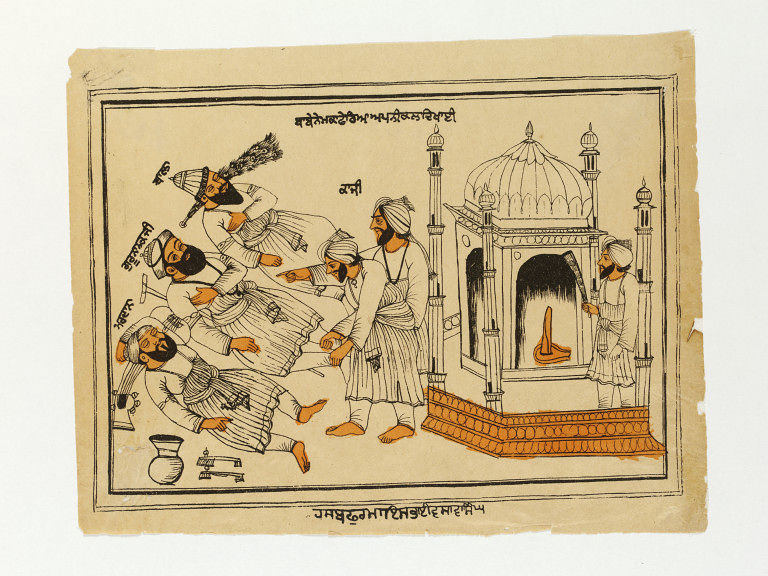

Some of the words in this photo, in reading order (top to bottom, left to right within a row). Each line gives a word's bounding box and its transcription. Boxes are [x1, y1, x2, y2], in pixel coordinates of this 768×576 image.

[291, 103, 461, 130] ਬਾਬੇਨੇਮਕਾਫੇਰਿਆ ਅਪਨੀਕਲਾਦਿਖਾਈ
[147, 154, 181, 193] ਬਾਲਾ
[332, 173, 369, 203] ਕਾਜੀ
[117, 216, 161, 275] ਗੁਰੂਨਾਨਕ ਜੀ
[109, 292, 139, 332] ਮਰਦਾਨਾ
[308, 499, 489, 531] ਹਸਬਫੁਰਮਾਇਸਭਾਈਵਸਾਵਾਸਿੰਘ